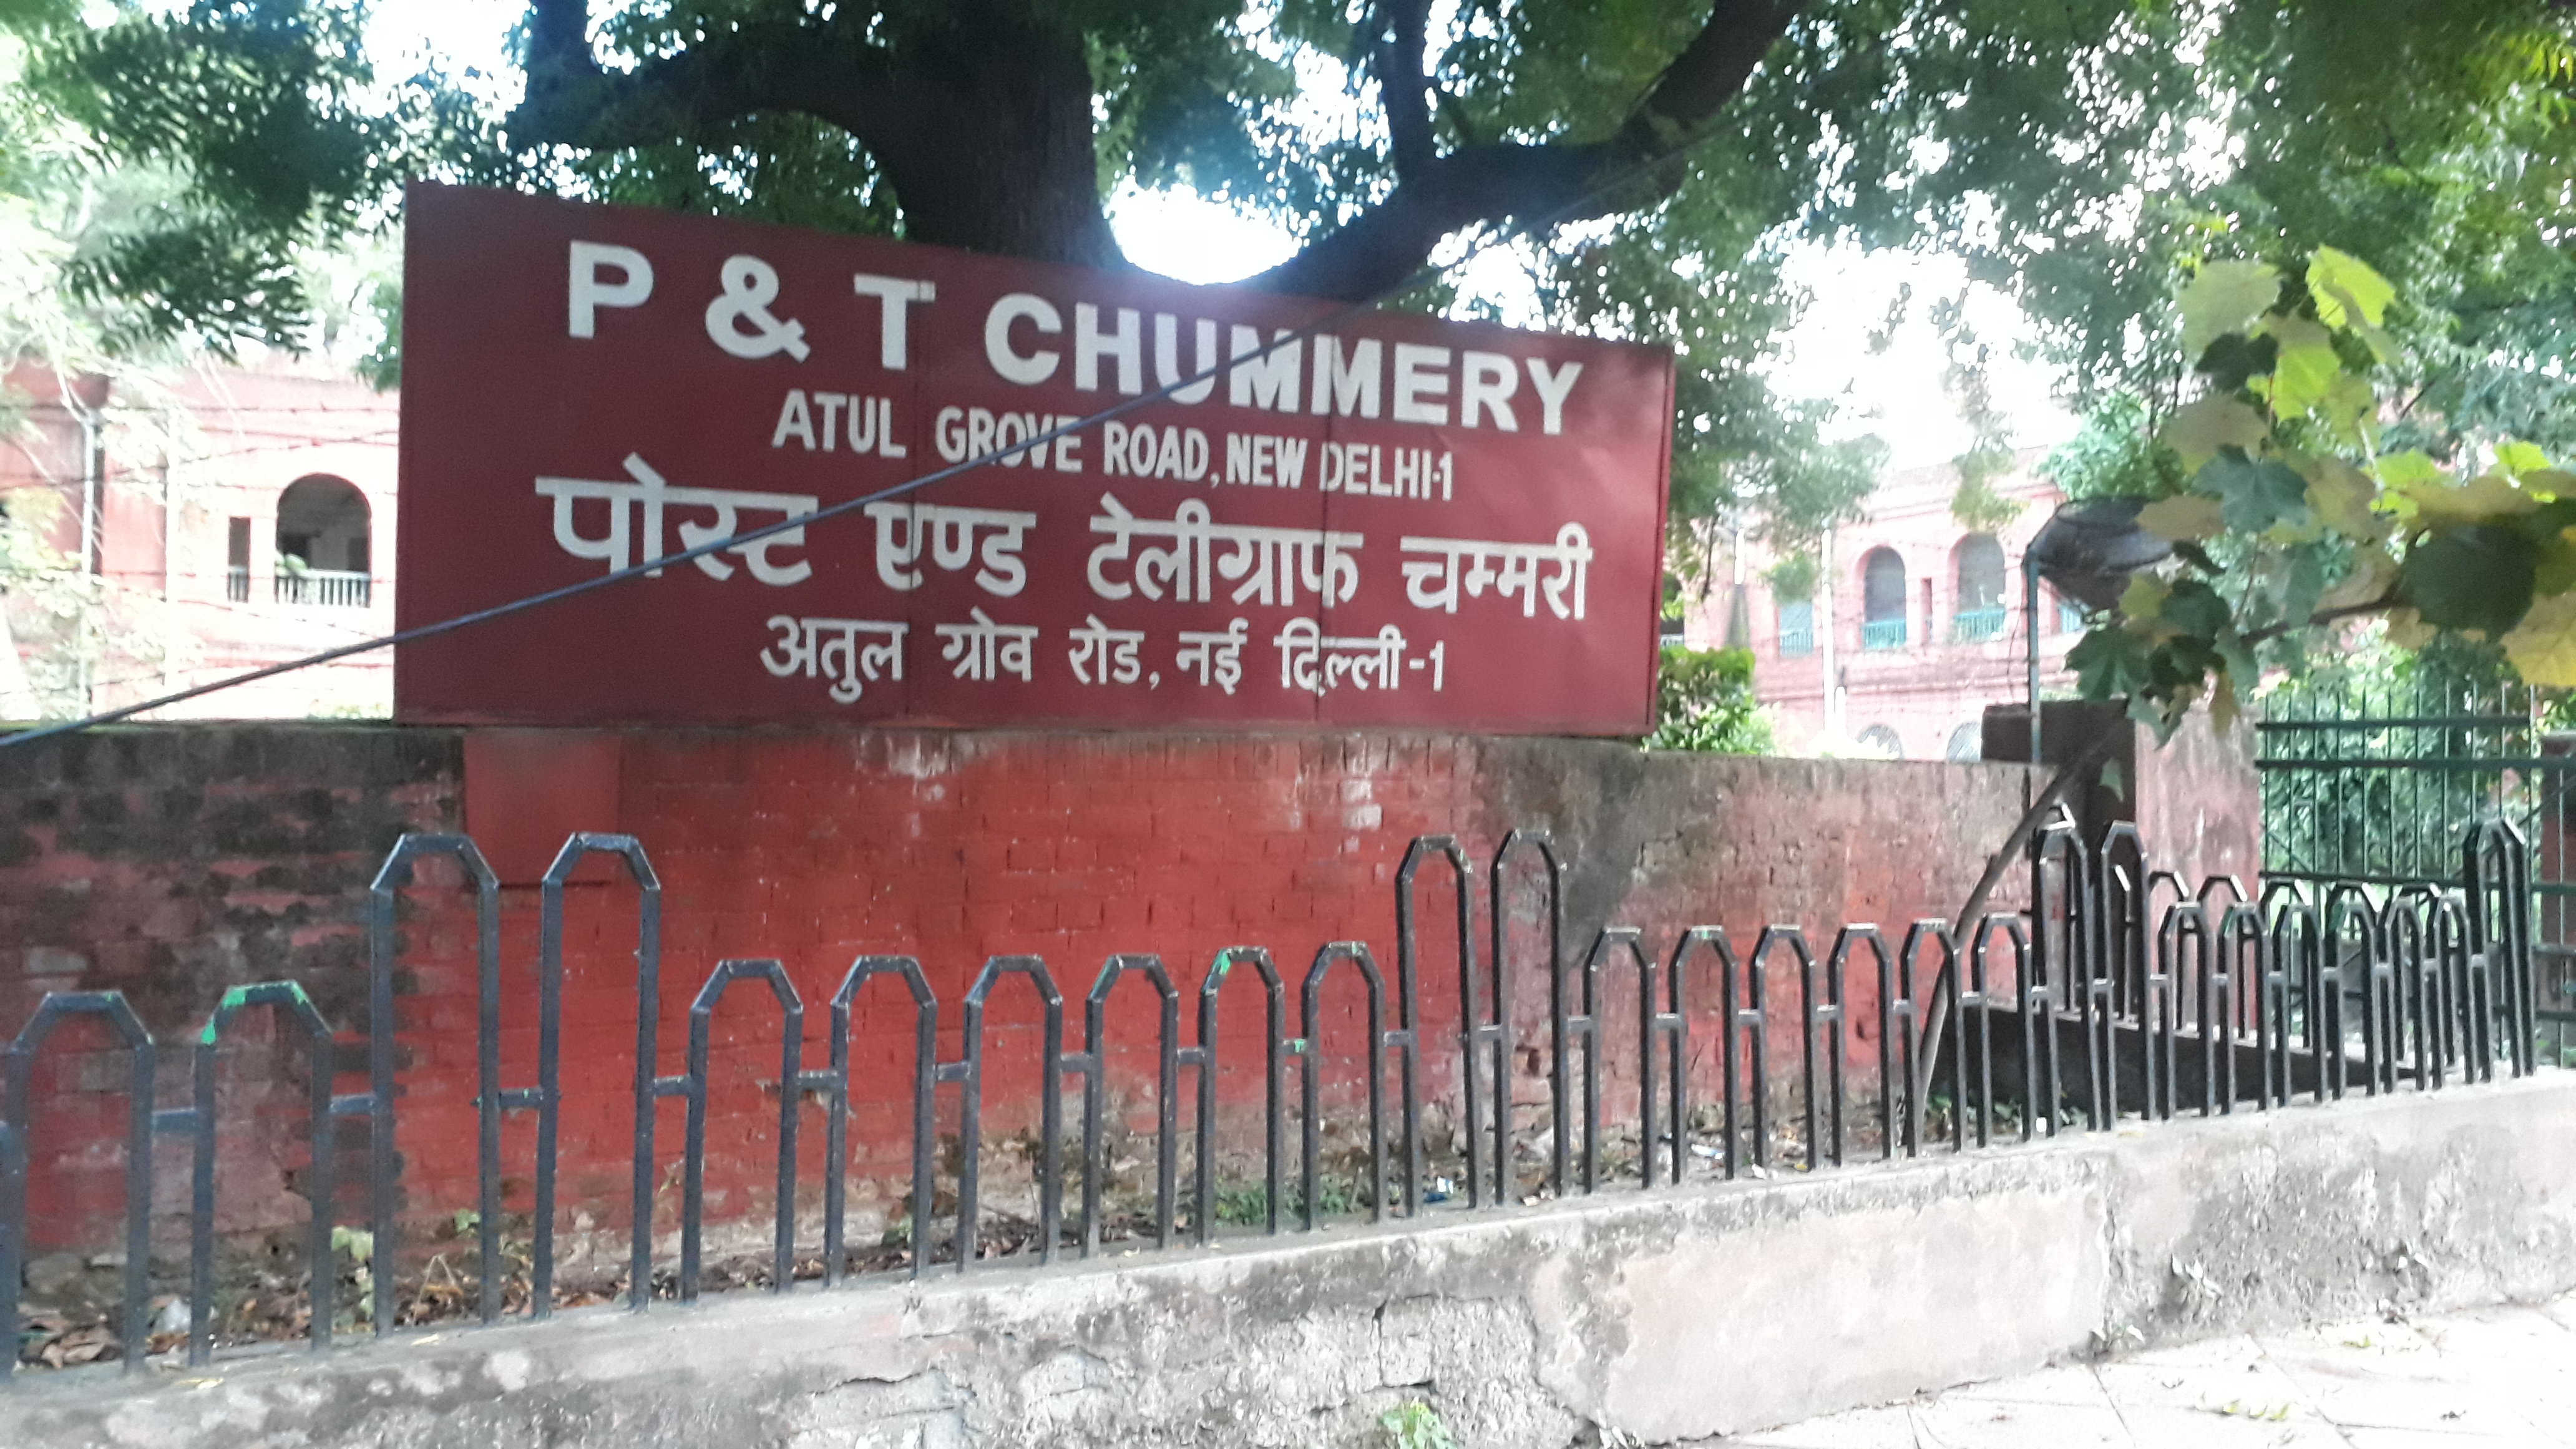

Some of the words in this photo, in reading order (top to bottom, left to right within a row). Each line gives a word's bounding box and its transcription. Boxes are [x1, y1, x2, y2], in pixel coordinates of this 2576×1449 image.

[565, 235, 941, 373] P&T
[972, 286, 1587, 438] CHUMMERY
[766, 386, 911, 465] ATUL
[927, 401, 1086, 474] GROVE
[1103, 416, 1214, 485] ROAD
[1221, 429, 1315, 490] NEW
[1310, 437, 1461, 510] DELHI-1
[526, 449, 824, 595] पोस्ट
[861, 493, 1042, 602] एण्ड
[1080, 484, 1367, 613] टेलीग्राफ
[1390, 516, 1598, 632] चम्मरी
[752, 607, 913, 703] अतुल
[925, 608, 1043, 689] ग्रोव
[1058, 610, 1158, 697] रोड
[1160, 616, 1259, 701] नई
[1269, 614, 1412, 697] दिल्ली